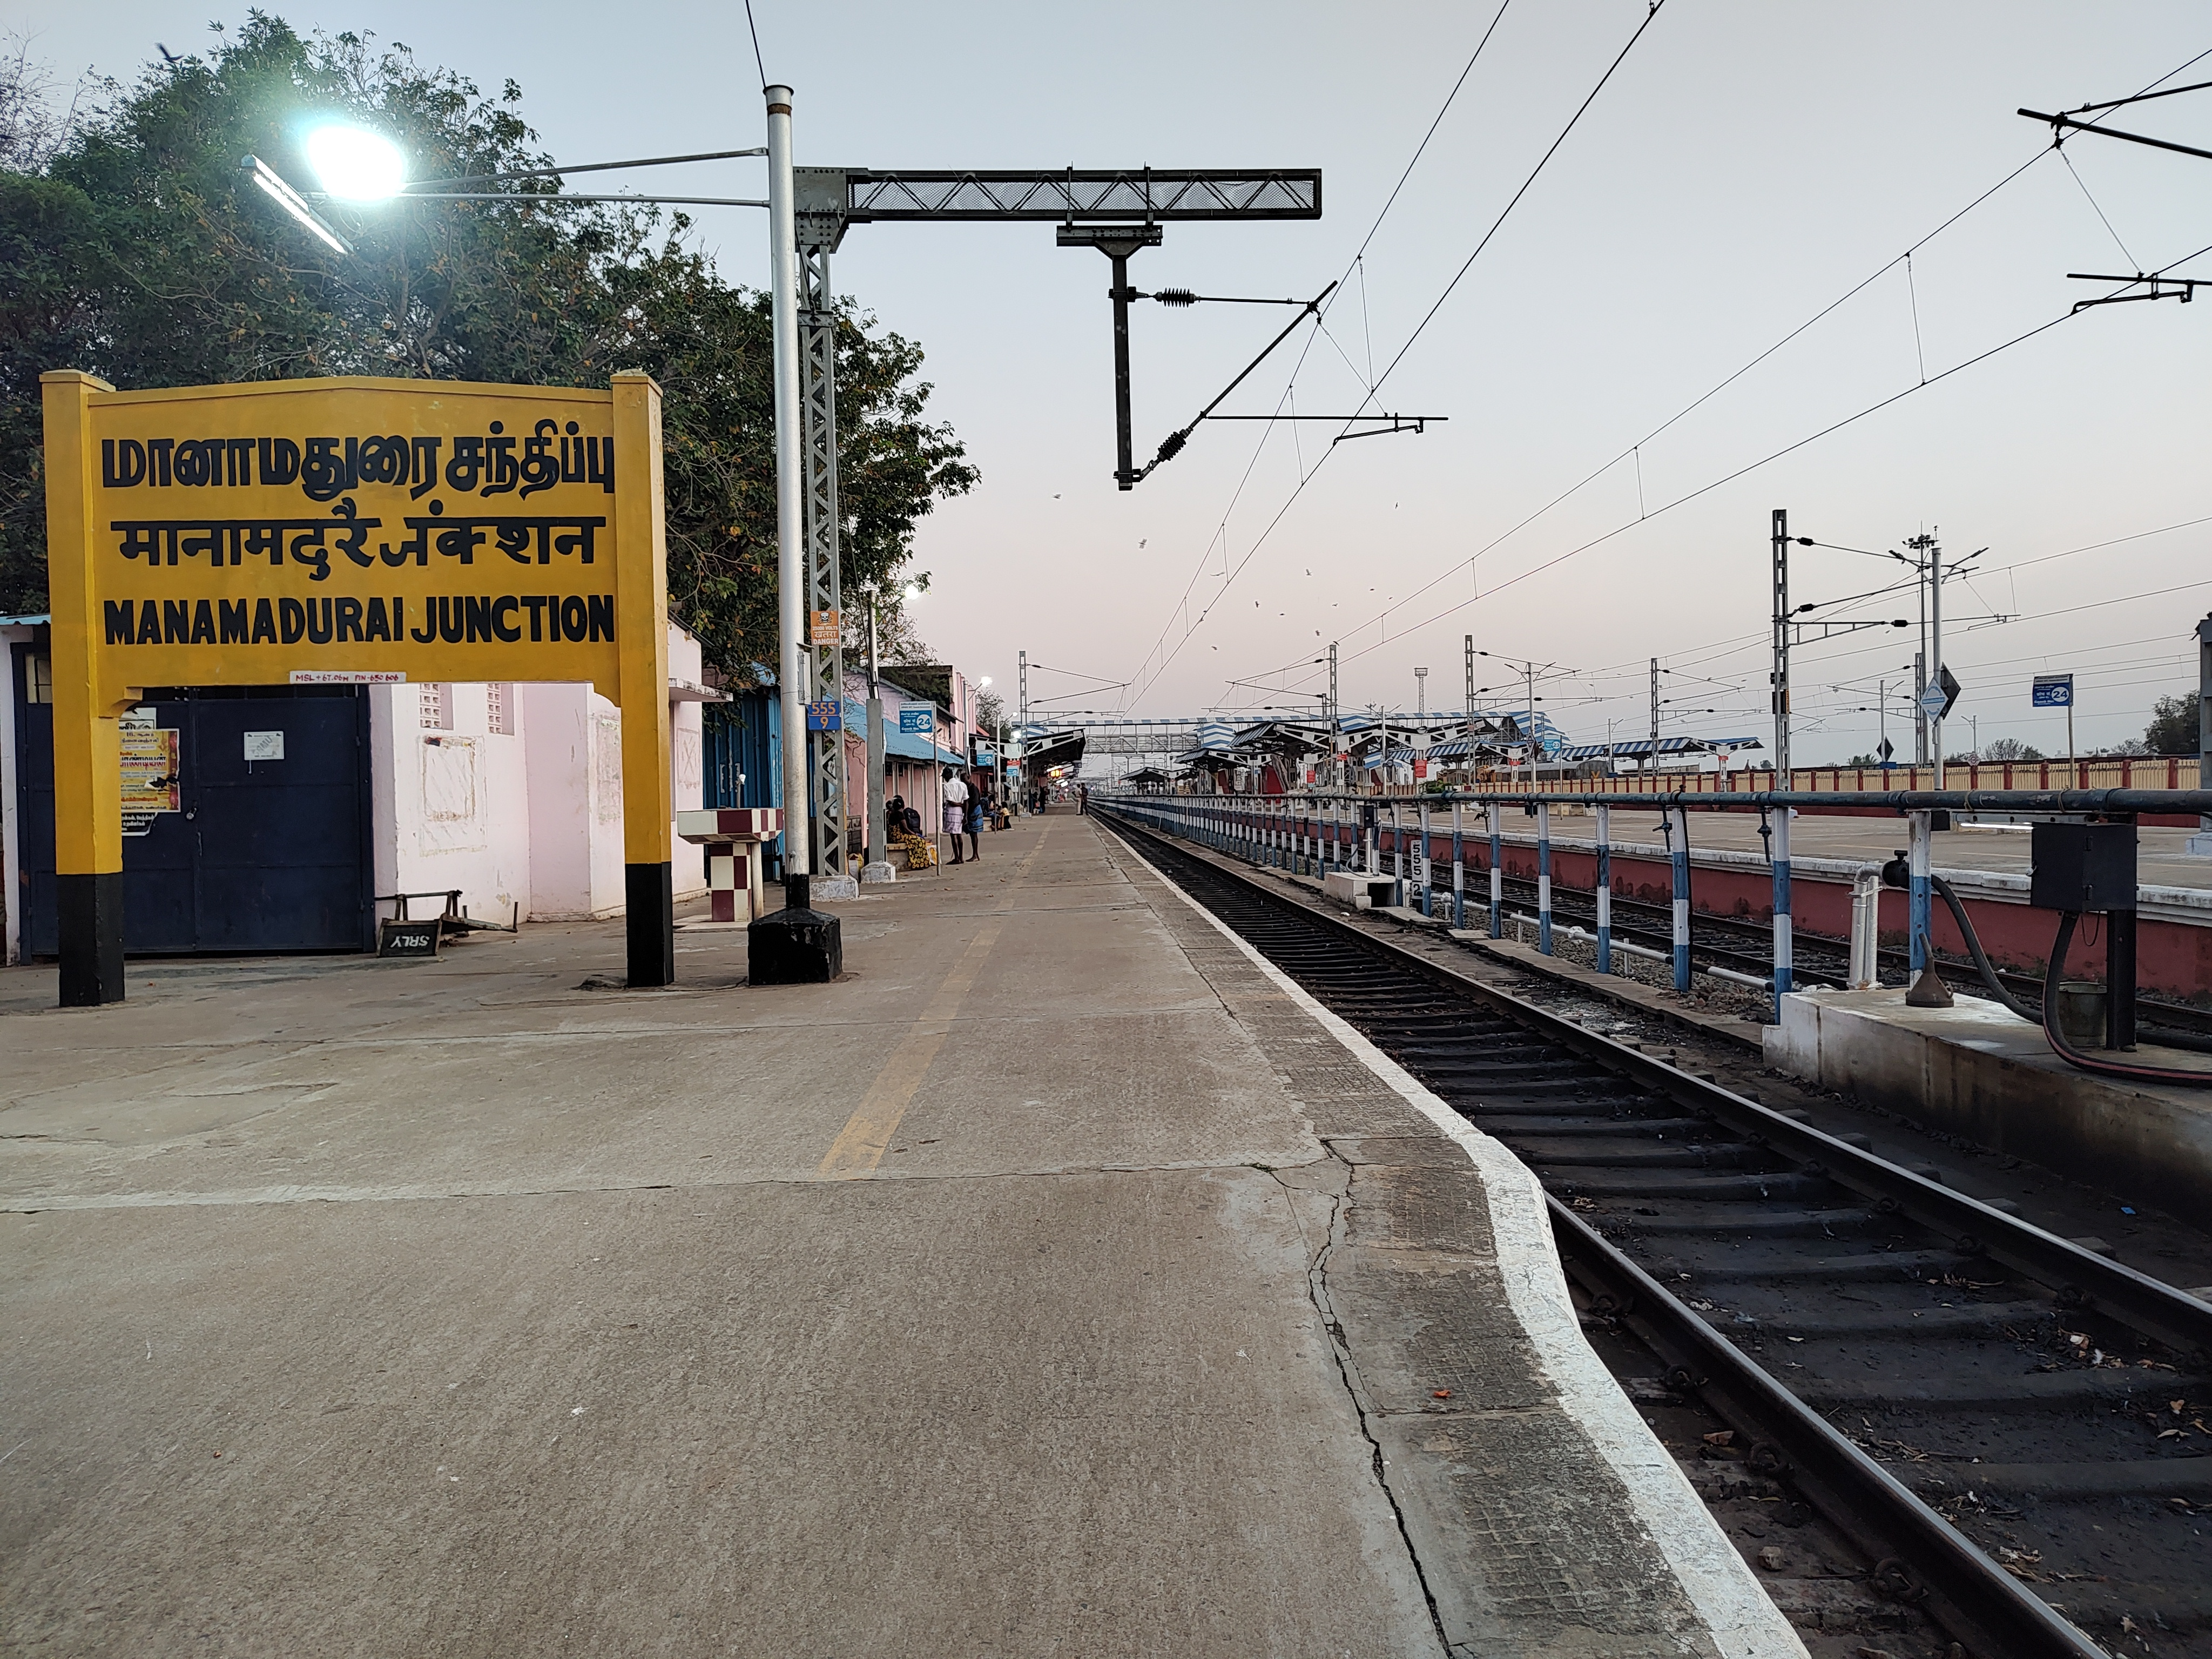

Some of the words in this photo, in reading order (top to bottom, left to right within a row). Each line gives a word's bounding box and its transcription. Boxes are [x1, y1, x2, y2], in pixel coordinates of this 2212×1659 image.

[98, 429, 446, 505] மானாமதுரை
[439, 413, 616, 503] சந்திப்பு
[111, 492, 385, 583] मानामदुरै
[373, 496, 606, 571] जंक्शन
[103, 592, 406, 647] பபடபட்டப்பட்ட
[405, 591, 616, 645] JUNCTION
[291, 671, 351, 683] MSL+67.06M
[353, 670, 401, 684] PIN-650606